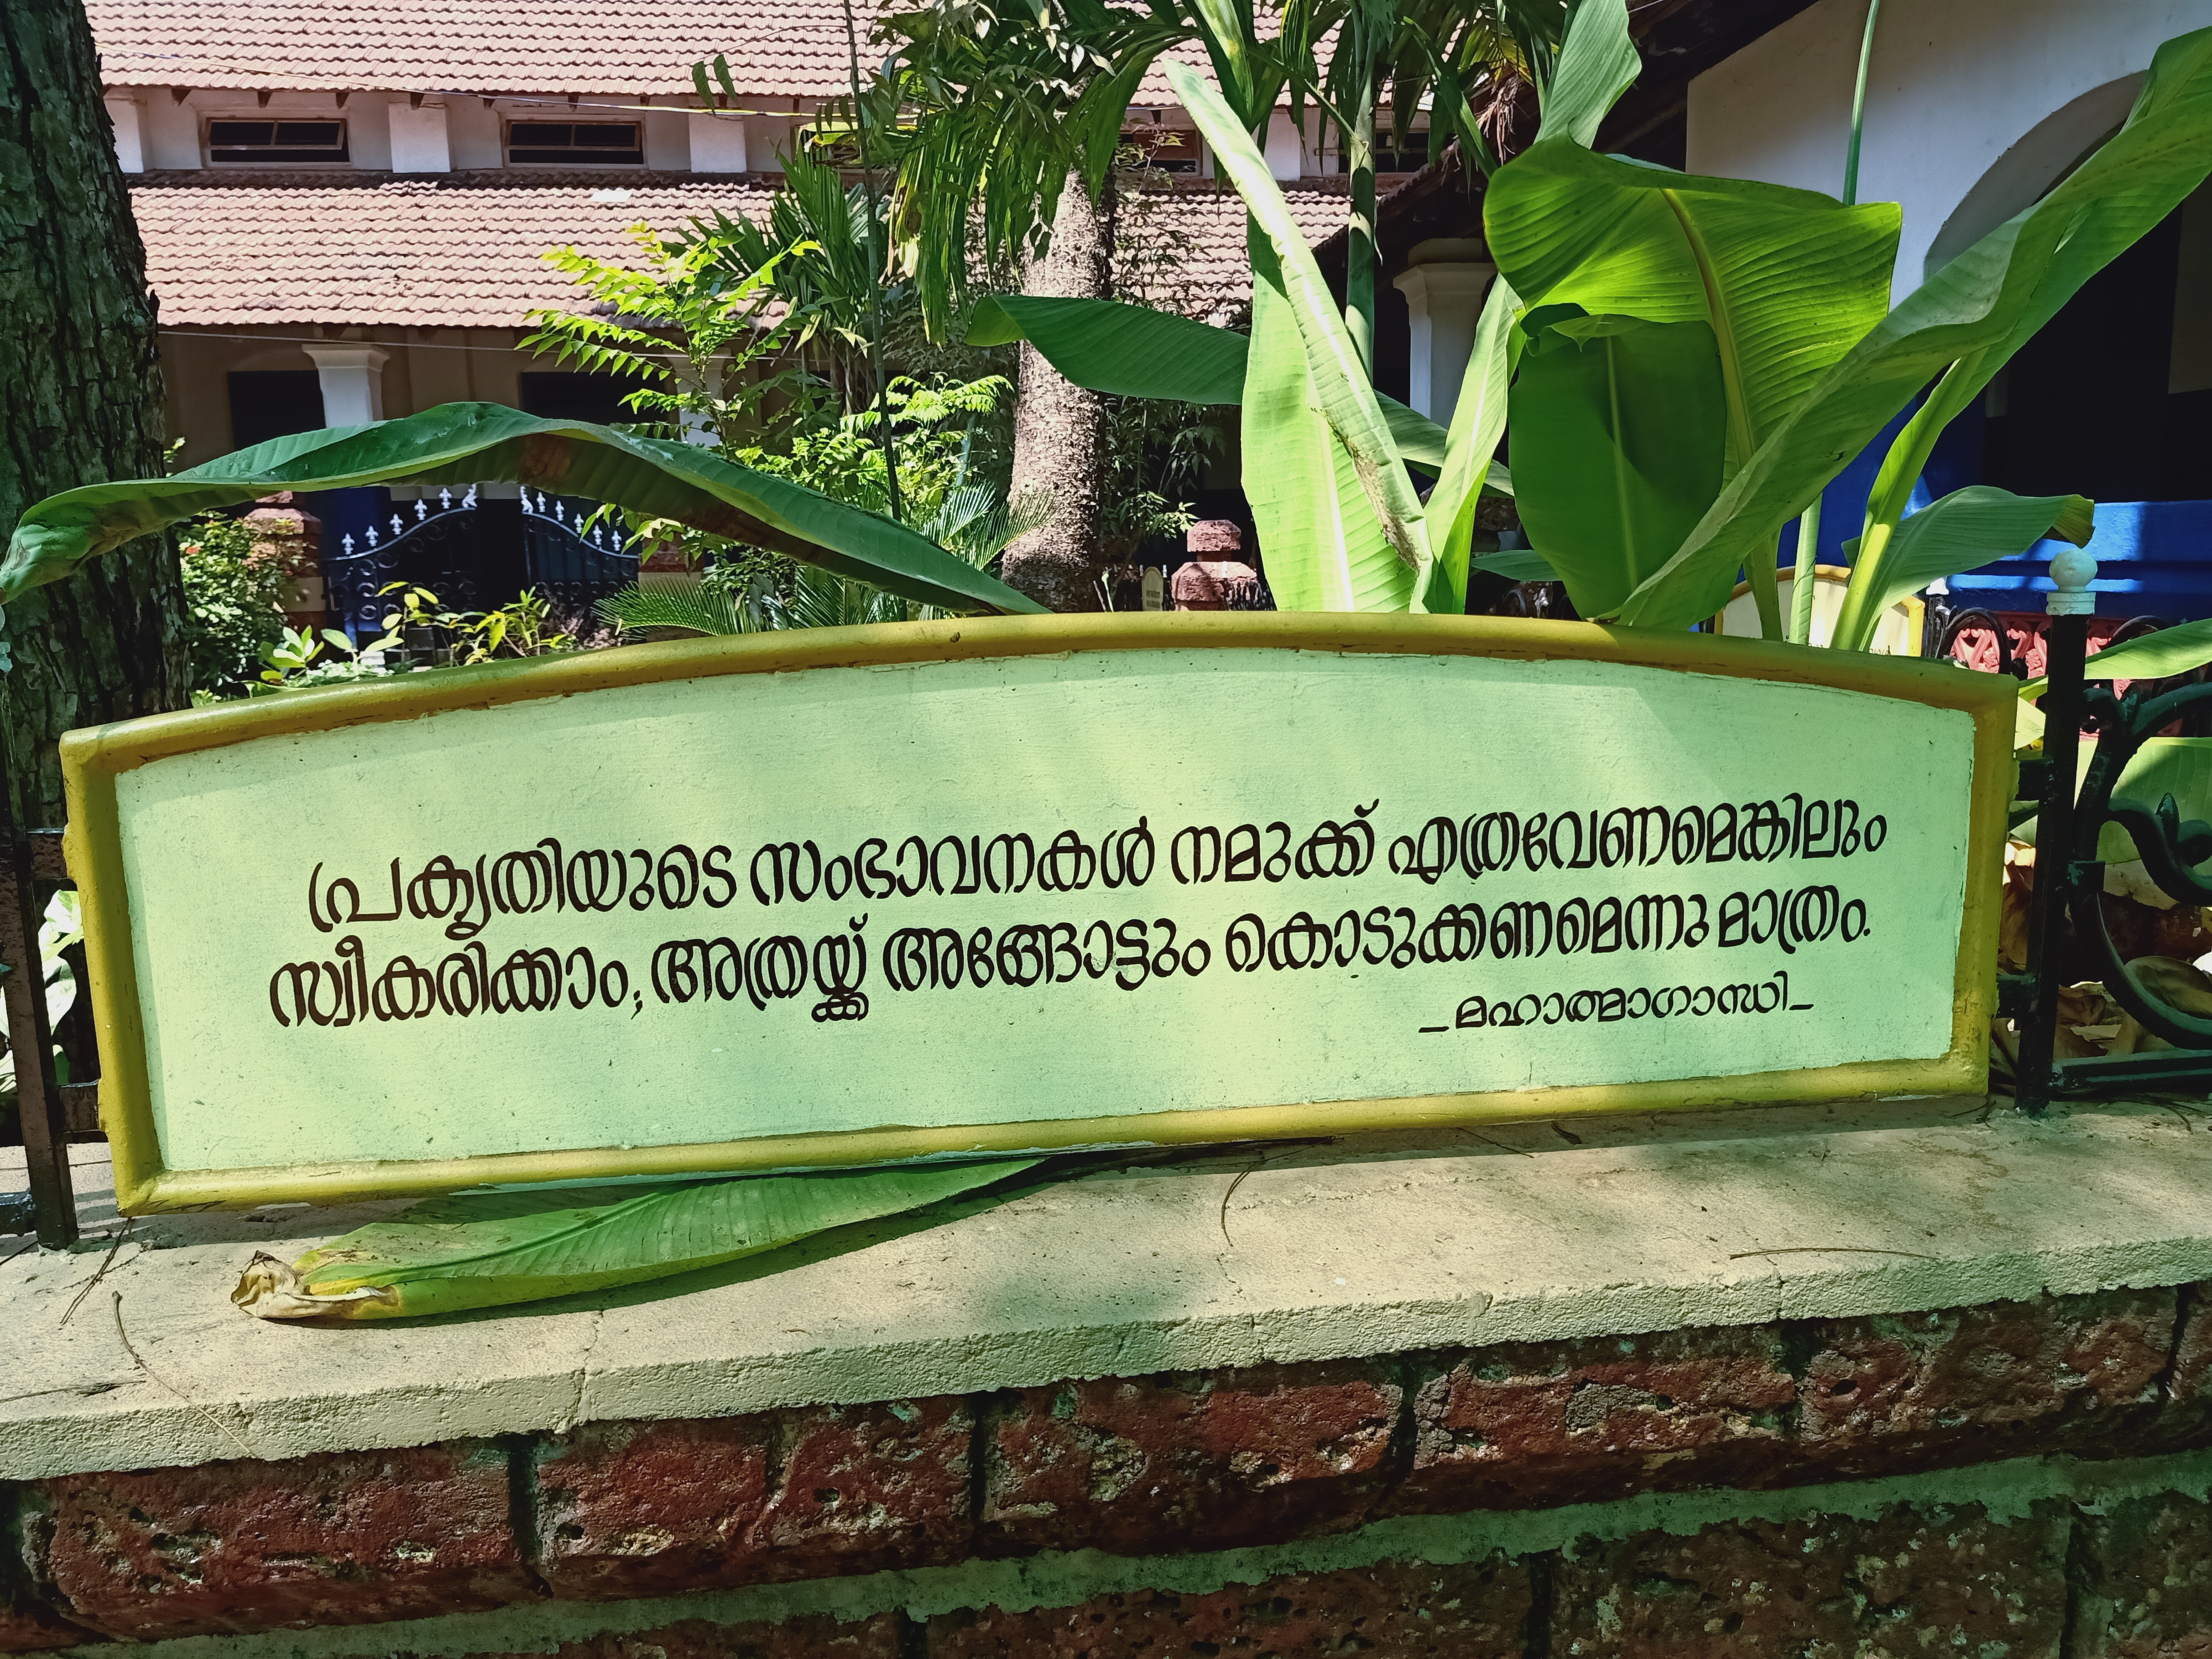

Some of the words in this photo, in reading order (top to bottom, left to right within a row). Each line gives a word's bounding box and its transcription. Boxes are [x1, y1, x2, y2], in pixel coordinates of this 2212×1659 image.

[262, 932, 636, 1034] സ്വീകരിക്കാം
[306, 831, 743, 945] പ്രകൃതിയുടെ
[648, 906, 872, 1025] അത്രയ്ക്ക്
[747, 810, 1160, 910] സംഭാവനകൾ
[878, 914, 1214, 995] അങ്ങോട്ടും
[1164, 795, 1385, 886] നമുക്ക്
[1222, 888, 1714, 976] കൊടുക്കണമെന്നു
[1449, 967, 1794, 1032] മഹാത്മാഗാന്ധി
[1380, 786, 1892, 888] എത്രവേണമെങ്കിലും
[1713, 879, 1873, 958] മാത്രം.